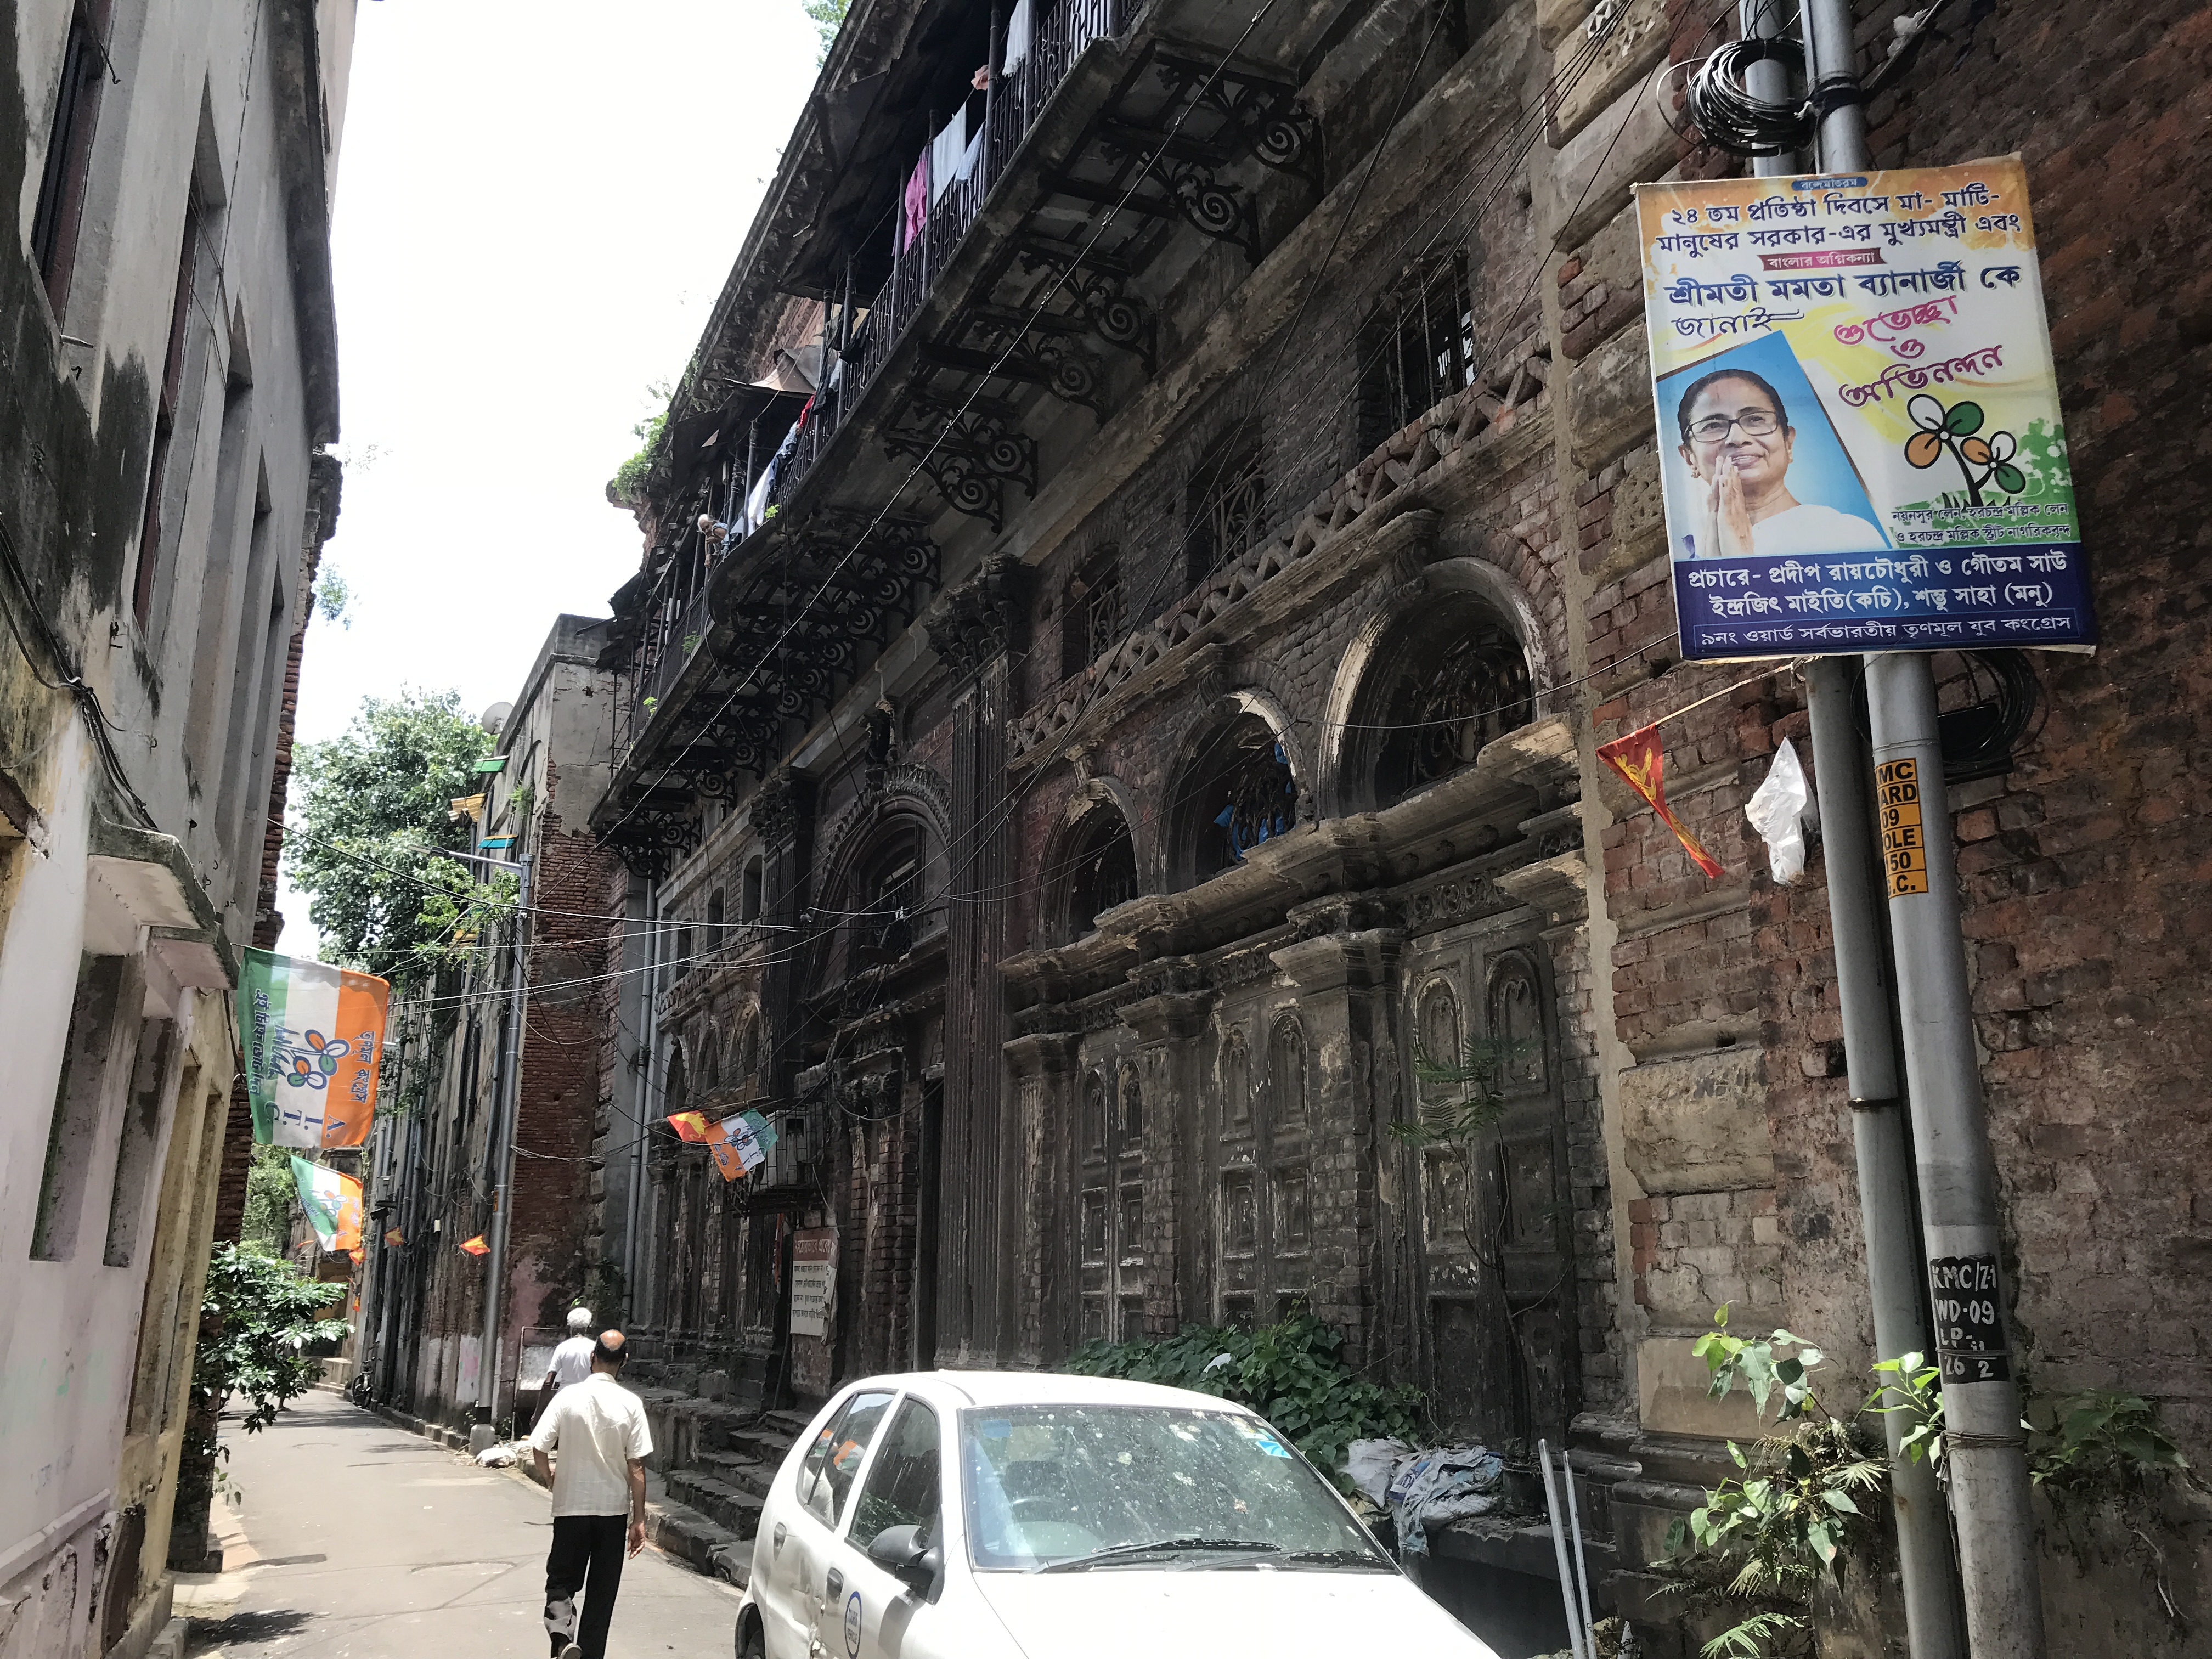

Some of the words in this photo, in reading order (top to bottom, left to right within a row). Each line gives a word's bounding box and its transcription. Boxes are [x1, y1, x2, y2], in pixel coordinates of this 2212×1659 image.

[1667, 205, 1702, 230] ২৪
[1654, 229, 1742, 259] মানুষের
[1701, 201, 1741, 225] তম
[1746, 191, 1818, 225] প্রতিষ্ঠা
[1742, 222, 1827, 253] সরকার
[1764, 254, 1816, 269] বাংলার
[1799, 176, 1859, 192] বন্দেমাতরম
[1813, 247, 1877, 268] অগ্নিকন্যা
[1820, 187, 1891, 219] দিবসে
[1838, 218, 1875, 245] এর
[1893, 187, 1931, 214] মা-
[1877, 205, 1970, 249] মুখ্যমন্ত্রী
[1936, 178, 2000, 214] মাটি-
[1971, 205, 2025, 236] এবং
[1661, 266, 1763, 306] শ্রীমতী
[1763, 274, 1849, 302] মমতা
[1852, 256, 1969, 302] ব্যানার্জী
[1976, 262, 2023, 295] কে
[1670, 302, 1783, 342] জানাই
[1830, 292, 1961, 363] শুভেচ্ছা ও
[1834, 340, 2008, 410] অভিনন্দন
[1887, 528, 1909, 546] ও
[1889, 507, 1935, 524] নয়নসুর
[1905, 526, 1945, 543] হরচন্দ্র
[1935, 505, 1966, 526] লেন
[1942, 522, 1983, 543] মল্লিক
[1962, 498, 2006, 523] হরচন্দ্র
[1978, 518, 2007, 544] স্ট্রীট
[2004, 496, 2045, 522] মল্লিক
[2004, 520, 2075, 541] নাগরিকবৃন্দ
[2040, 499, 2072, 519] লেন
[1683, 561, 1753, 591] প্রচারে
[1766, 555, 1825, 590] প্রদীপ
[1820, 551, 1932, 589] রায়চৌধুরী
[1928, 555, 1954, 578] ও
[1957, 548, 2024, 579] গৌতম
[2023, 545, 2070, 576] সাউ
[1703, 586, 1786, 619] ইন্দ্রজিৎ
[1780, 583, 1848, 616] মাইতি
[1846, 580, 1897, 613] (কচি)
[1909, 584, 1956, 618] শম্ভু
[1951, 582, 1999, 610] সাহা
[2007, 580, 2049, 611] মনু
[1697, 627, 1742, 648] ৯নং
[1737, 623, 1797, 644] ওয়ার্ড
[1795, 616, 1899, 641] সর্বভারতীয়
[1899, 618, 1965, 642] তৃণমূল
[1965, 616, 2001, 642] যুব
[2000, 614, 2076, 635] কংগ্রেস
[247, 986, 274, 1047] এই চিহ্নে
[346, 1029, 378, 1066] তৃণমূল
[243, 1039, 267, 1099] ভোট দিন
[347, 1065, 373, 1107] কংগ্রেস